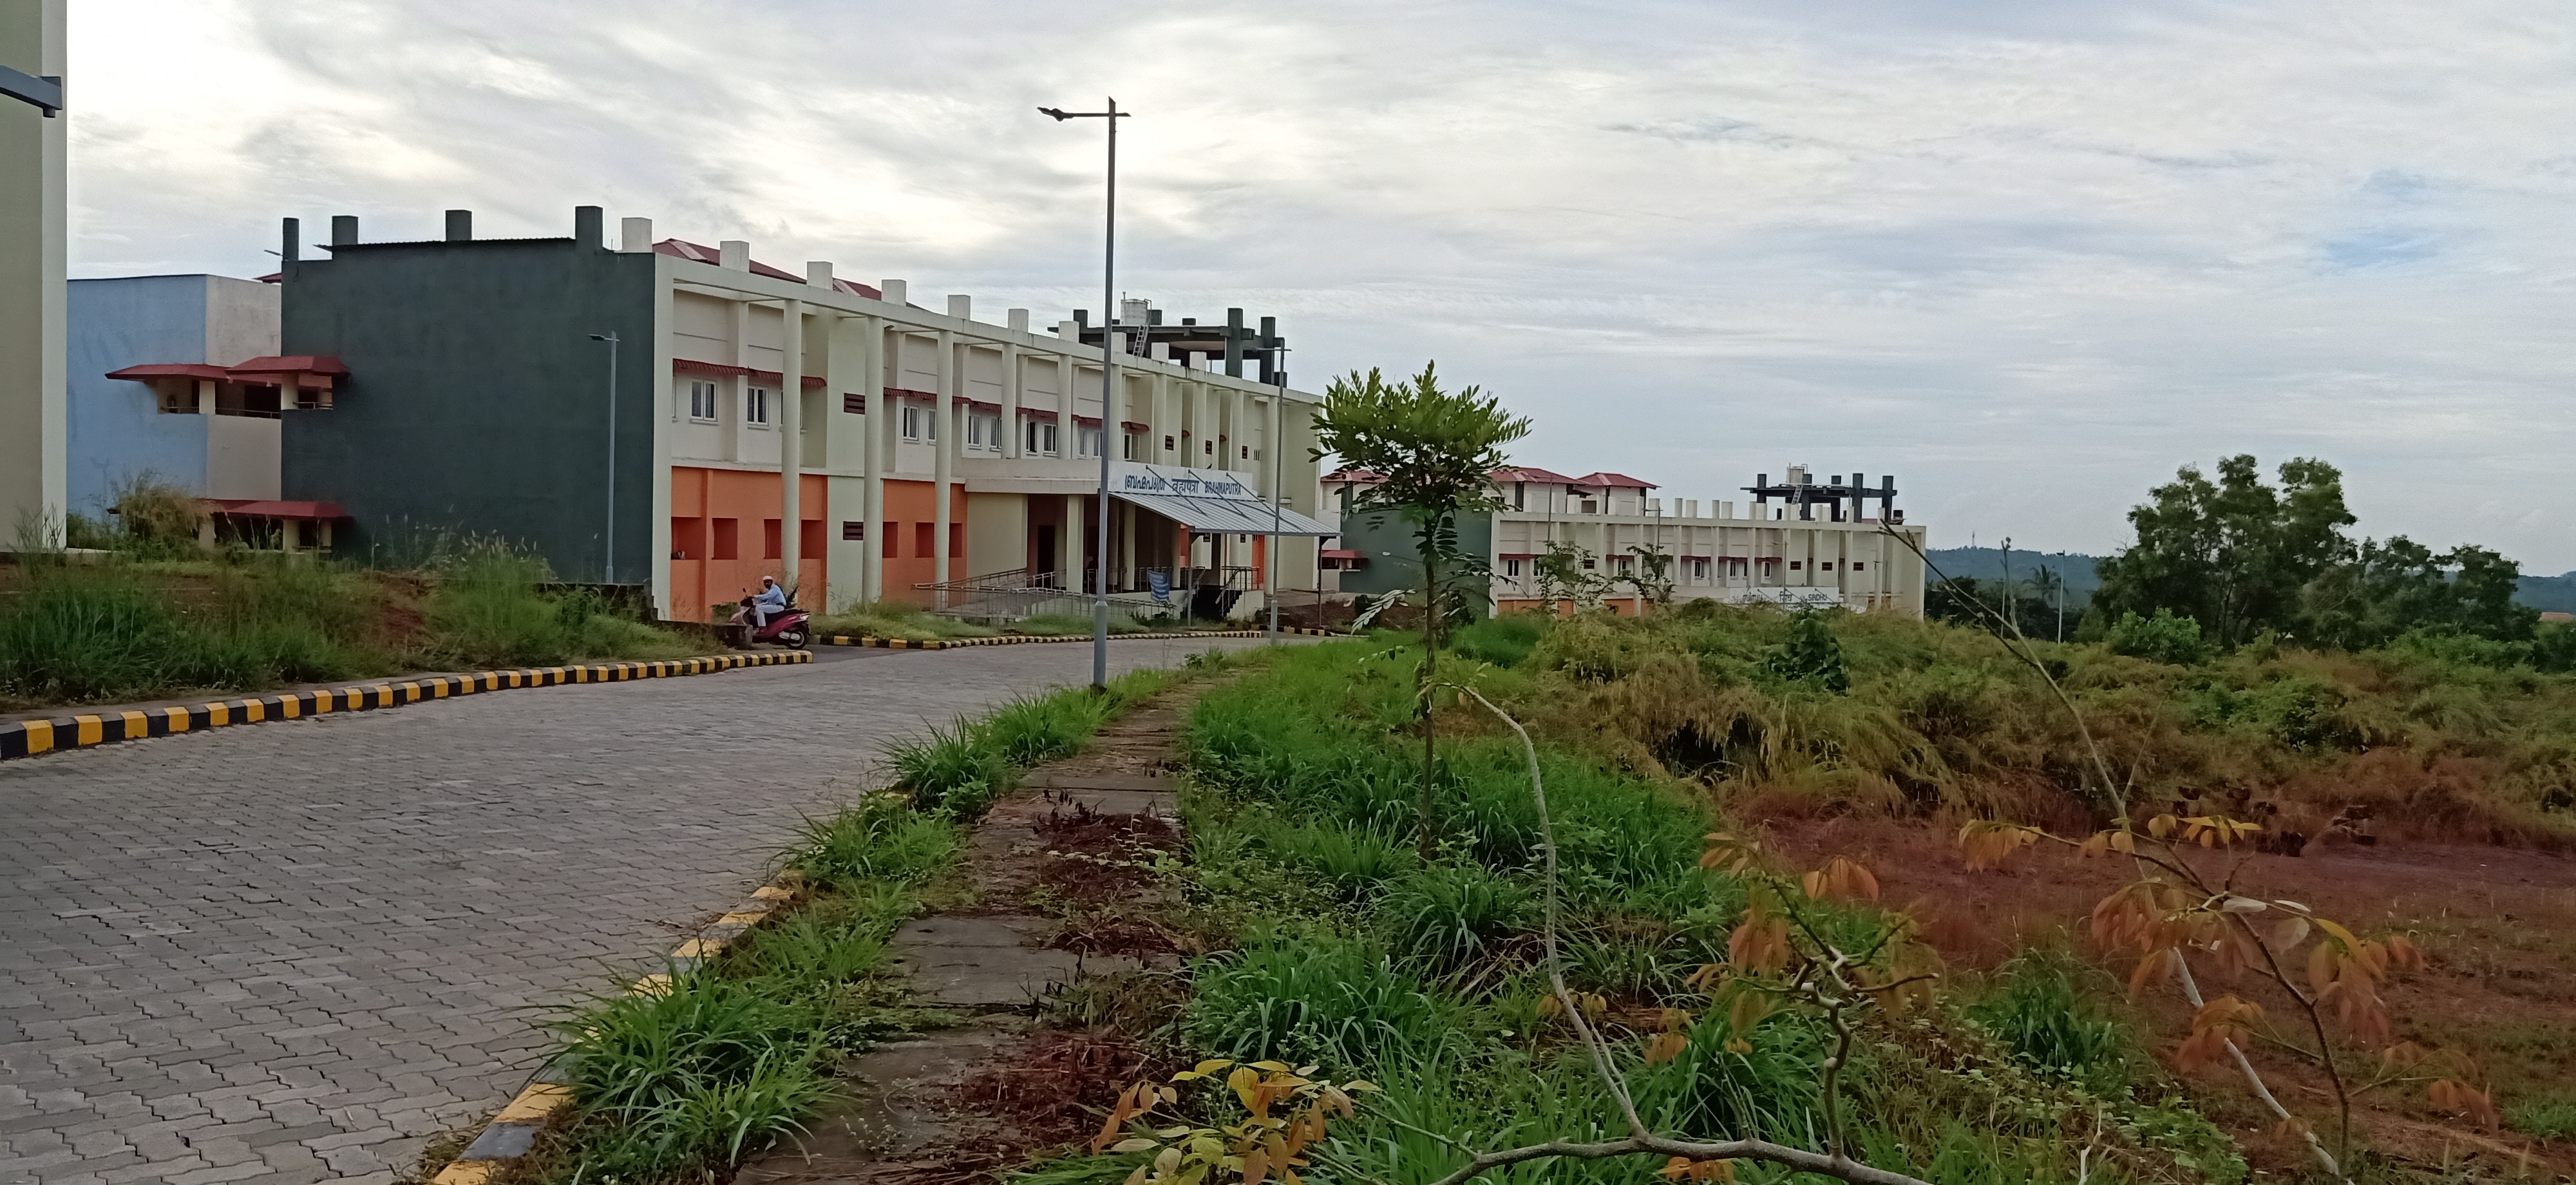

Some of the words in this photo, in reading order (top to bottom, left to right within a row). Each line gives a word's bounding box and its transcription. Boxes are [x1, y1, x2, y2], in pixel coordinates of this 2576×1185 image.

[1122, 471, 1168, 491] ബ്രഹ്മപംത്ര
[1170, 473, 1201, 499] ब्रह्मपत्रा
[1202, 477, 1243, 497] BRAHMAPUTRA
[1805, 589, 1829, 604] SINDHU